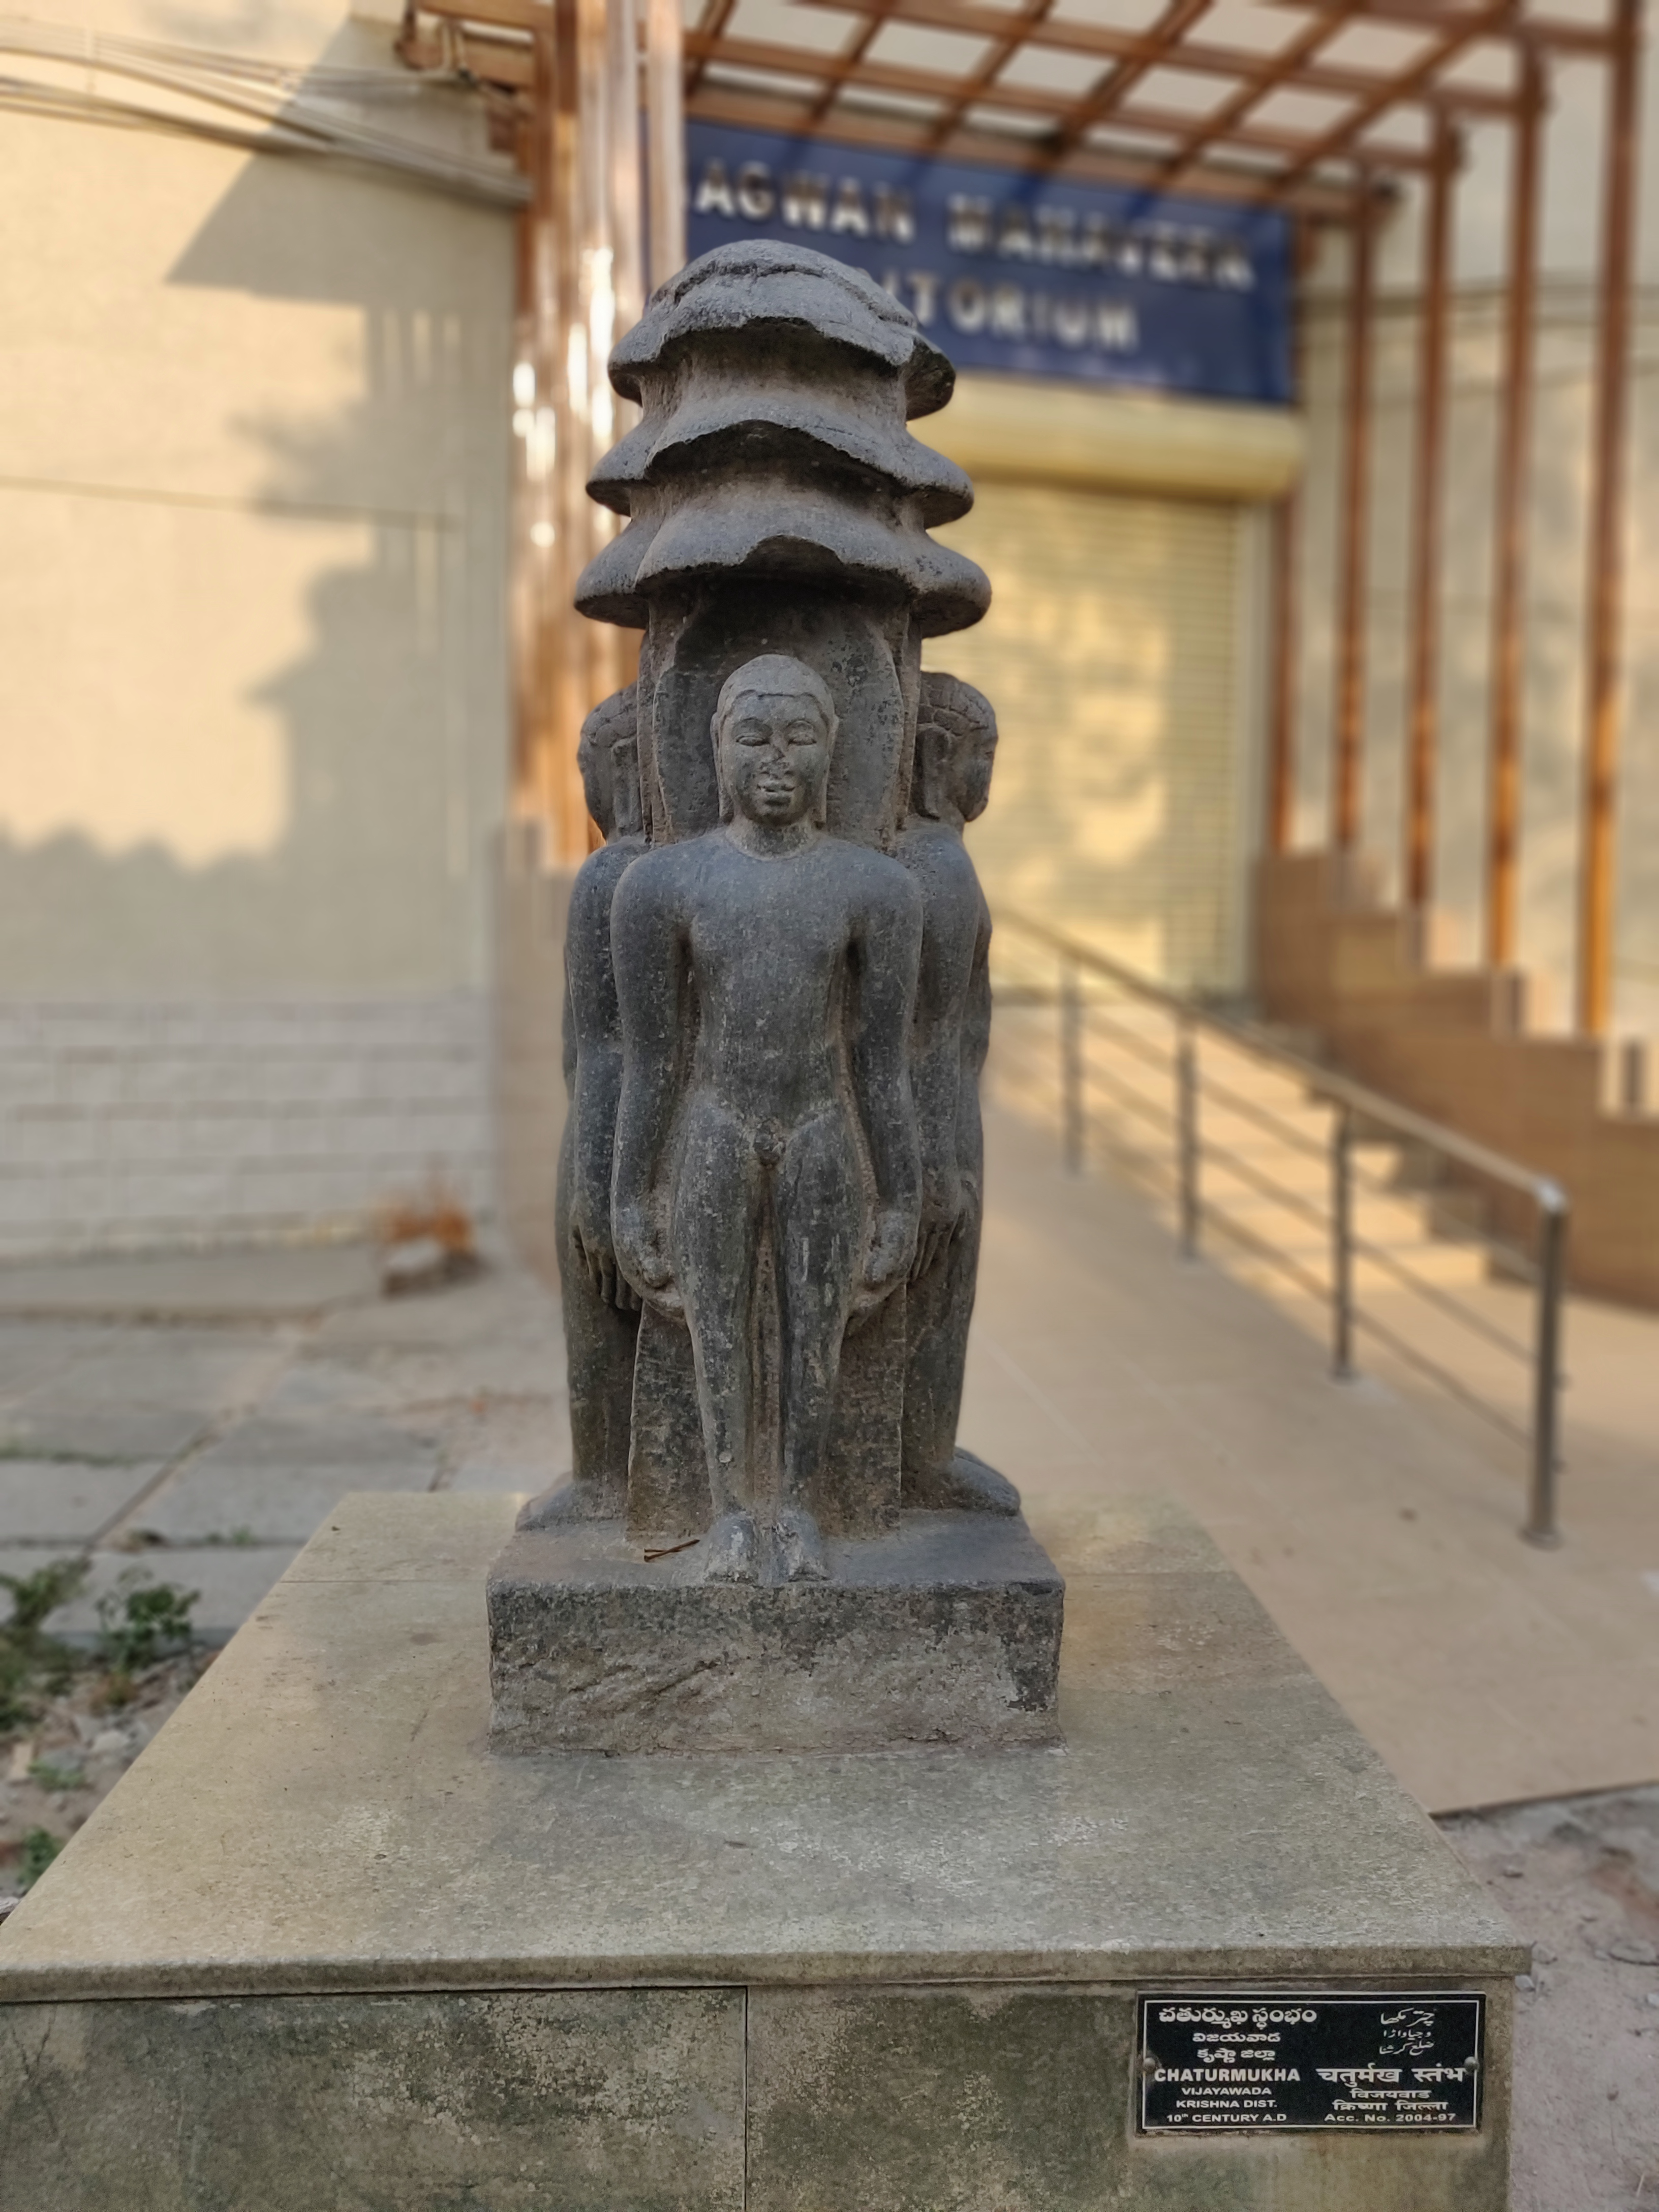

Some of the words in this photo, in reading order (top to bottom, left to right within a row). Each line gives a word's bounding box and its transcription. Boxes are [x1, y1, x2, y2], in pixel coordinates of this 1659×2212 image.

[1155, 2004, 1250, 2032] చతుర్ముఖ
[1245, 2005, 1318, 2032] స్ధంభం
[1189, 2030, 1283, 2044] విజయవాడ
[1191, 2046, 1239, 2068] కృష్ణా
[1238, 2046, 1279, 2064] జల్ల
[1152, 2066, 1302, 2086] CHATURMUKHA
[1313, 2059, 1406, 2092] चतुर्मख
[1406, 2060, 1469, 2088] स्तंभ
[1179, 2083, 1274, 2098] VIJAYAWADA
[1346, 2082, 1433, 2102] विजयवाड
[1173, 2097, 1242, 2110] KRISHNA
[1241, 2096, 1279, 2111] DIST.
[1330, 2094, 1391, 2115] क्रिष्णा
[1392, 2095, 1450, 2114] जिल्ला
[1163, 2111, 1191, 2128] 10th
[1190, 2111, 1262, 2124] CENTURY
[1258, 2110, 1290, 2128] A.D
[1321, 2109, 1362, 2127] Acc.
[1362, 2110, 1390, 2124] No.
[1392, 2111, 1458, 2124] 2004-97